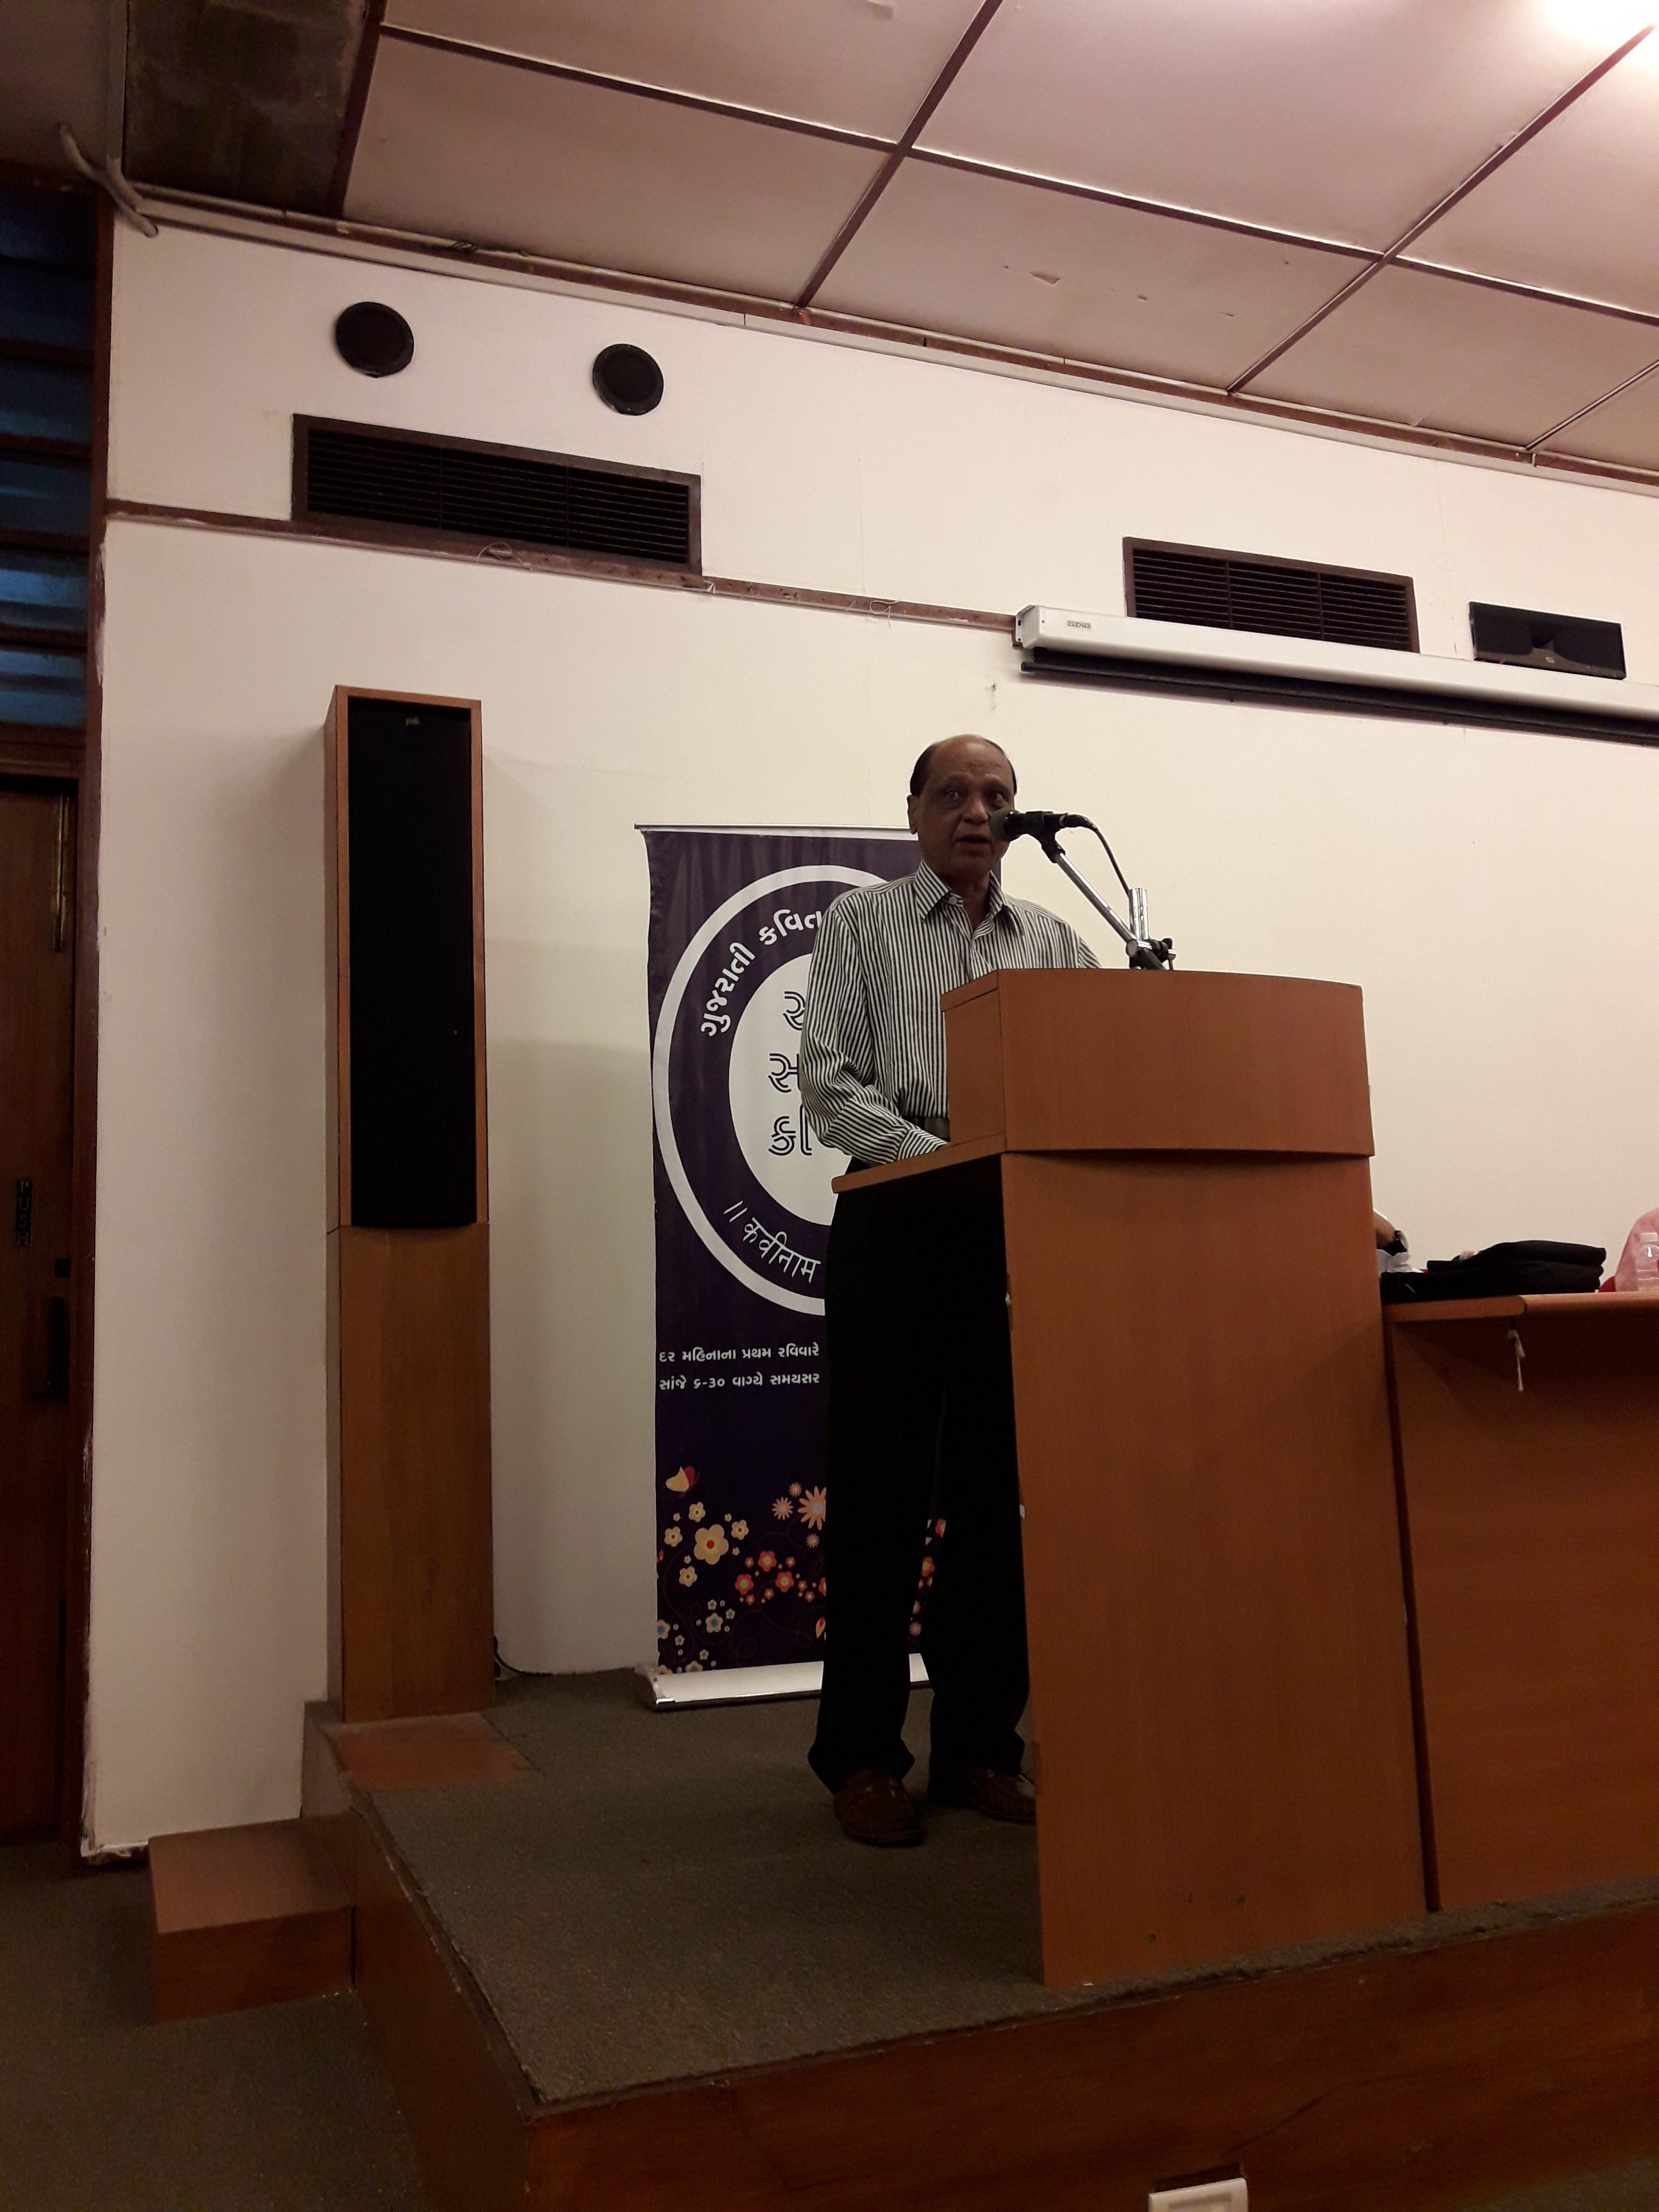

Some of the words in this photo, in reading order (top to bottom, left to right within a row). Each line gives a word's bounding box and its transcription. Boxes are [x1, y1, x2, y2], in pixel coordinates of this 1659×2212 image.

[756, 902, 824, 948] કવિત
[696, 939, 761, 1037] ગુજરાતી
[763, 1108, 799, 1165] ક
[733, 1212, 823, 1289] कवीनाम
[657, 1347, 677, 1364] દર
[680, 1343, 737, 1367] મહિનાના
[740, 1344, 774, 1361] પ્રથમ
[775, 1339, 823, 1361] રવિવારે
[657, 1371, 690, 1392] સાંજે
[691, 1373, 729, 1393] ૬-૩૦
[730, 1368, 766, 1390] વાગ્યે
[767, 1370, 821, 1387] સમયસર